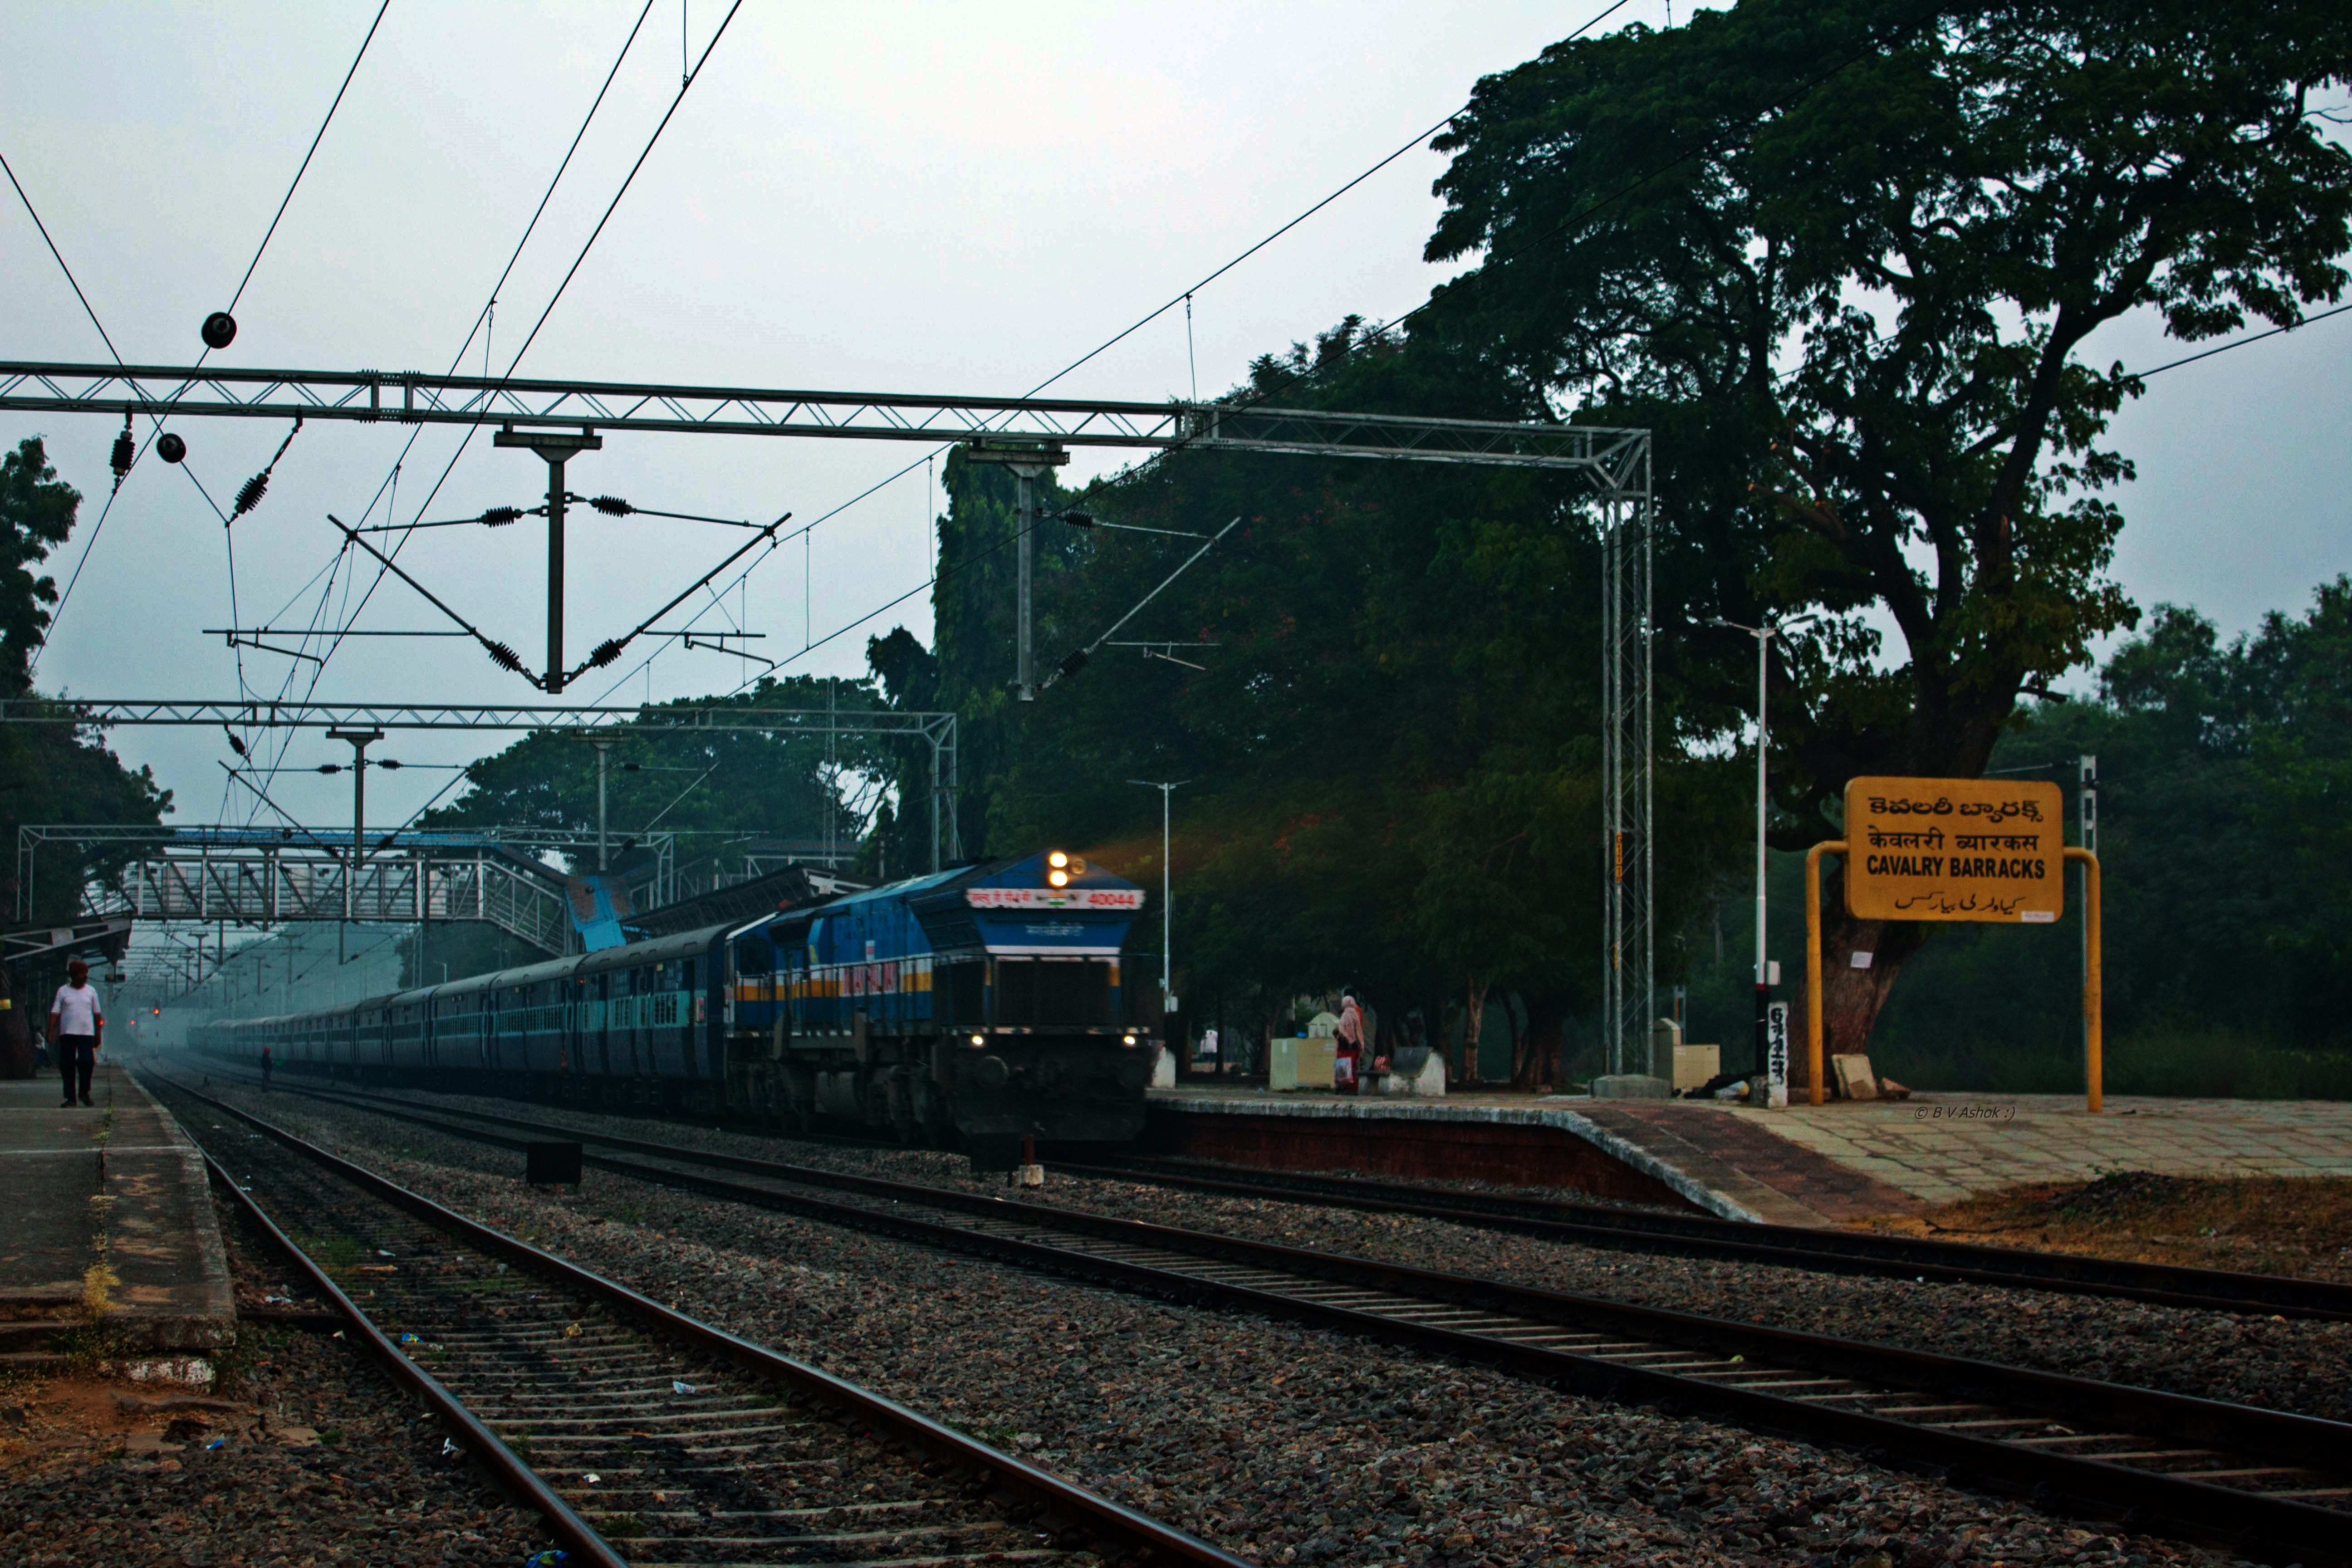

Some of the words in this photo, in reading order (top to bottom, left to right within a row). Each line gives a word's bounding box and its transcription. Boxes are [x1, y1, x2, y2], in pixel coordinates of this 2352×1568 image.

[1865, 794, 1957, 818] కెవలరీ
[1957, 796, 2046, 825] బ్యారక్స్
[1863, 821, 1947, 852] केवलरी
[1955, 832, 2040, 853] ब्यारकस
[1865, 852, 1947, 878] CAVALRY
[1948, 854, 2047, 881] BARRACKS
[968, 889, 995, 909] डब्ल्यु